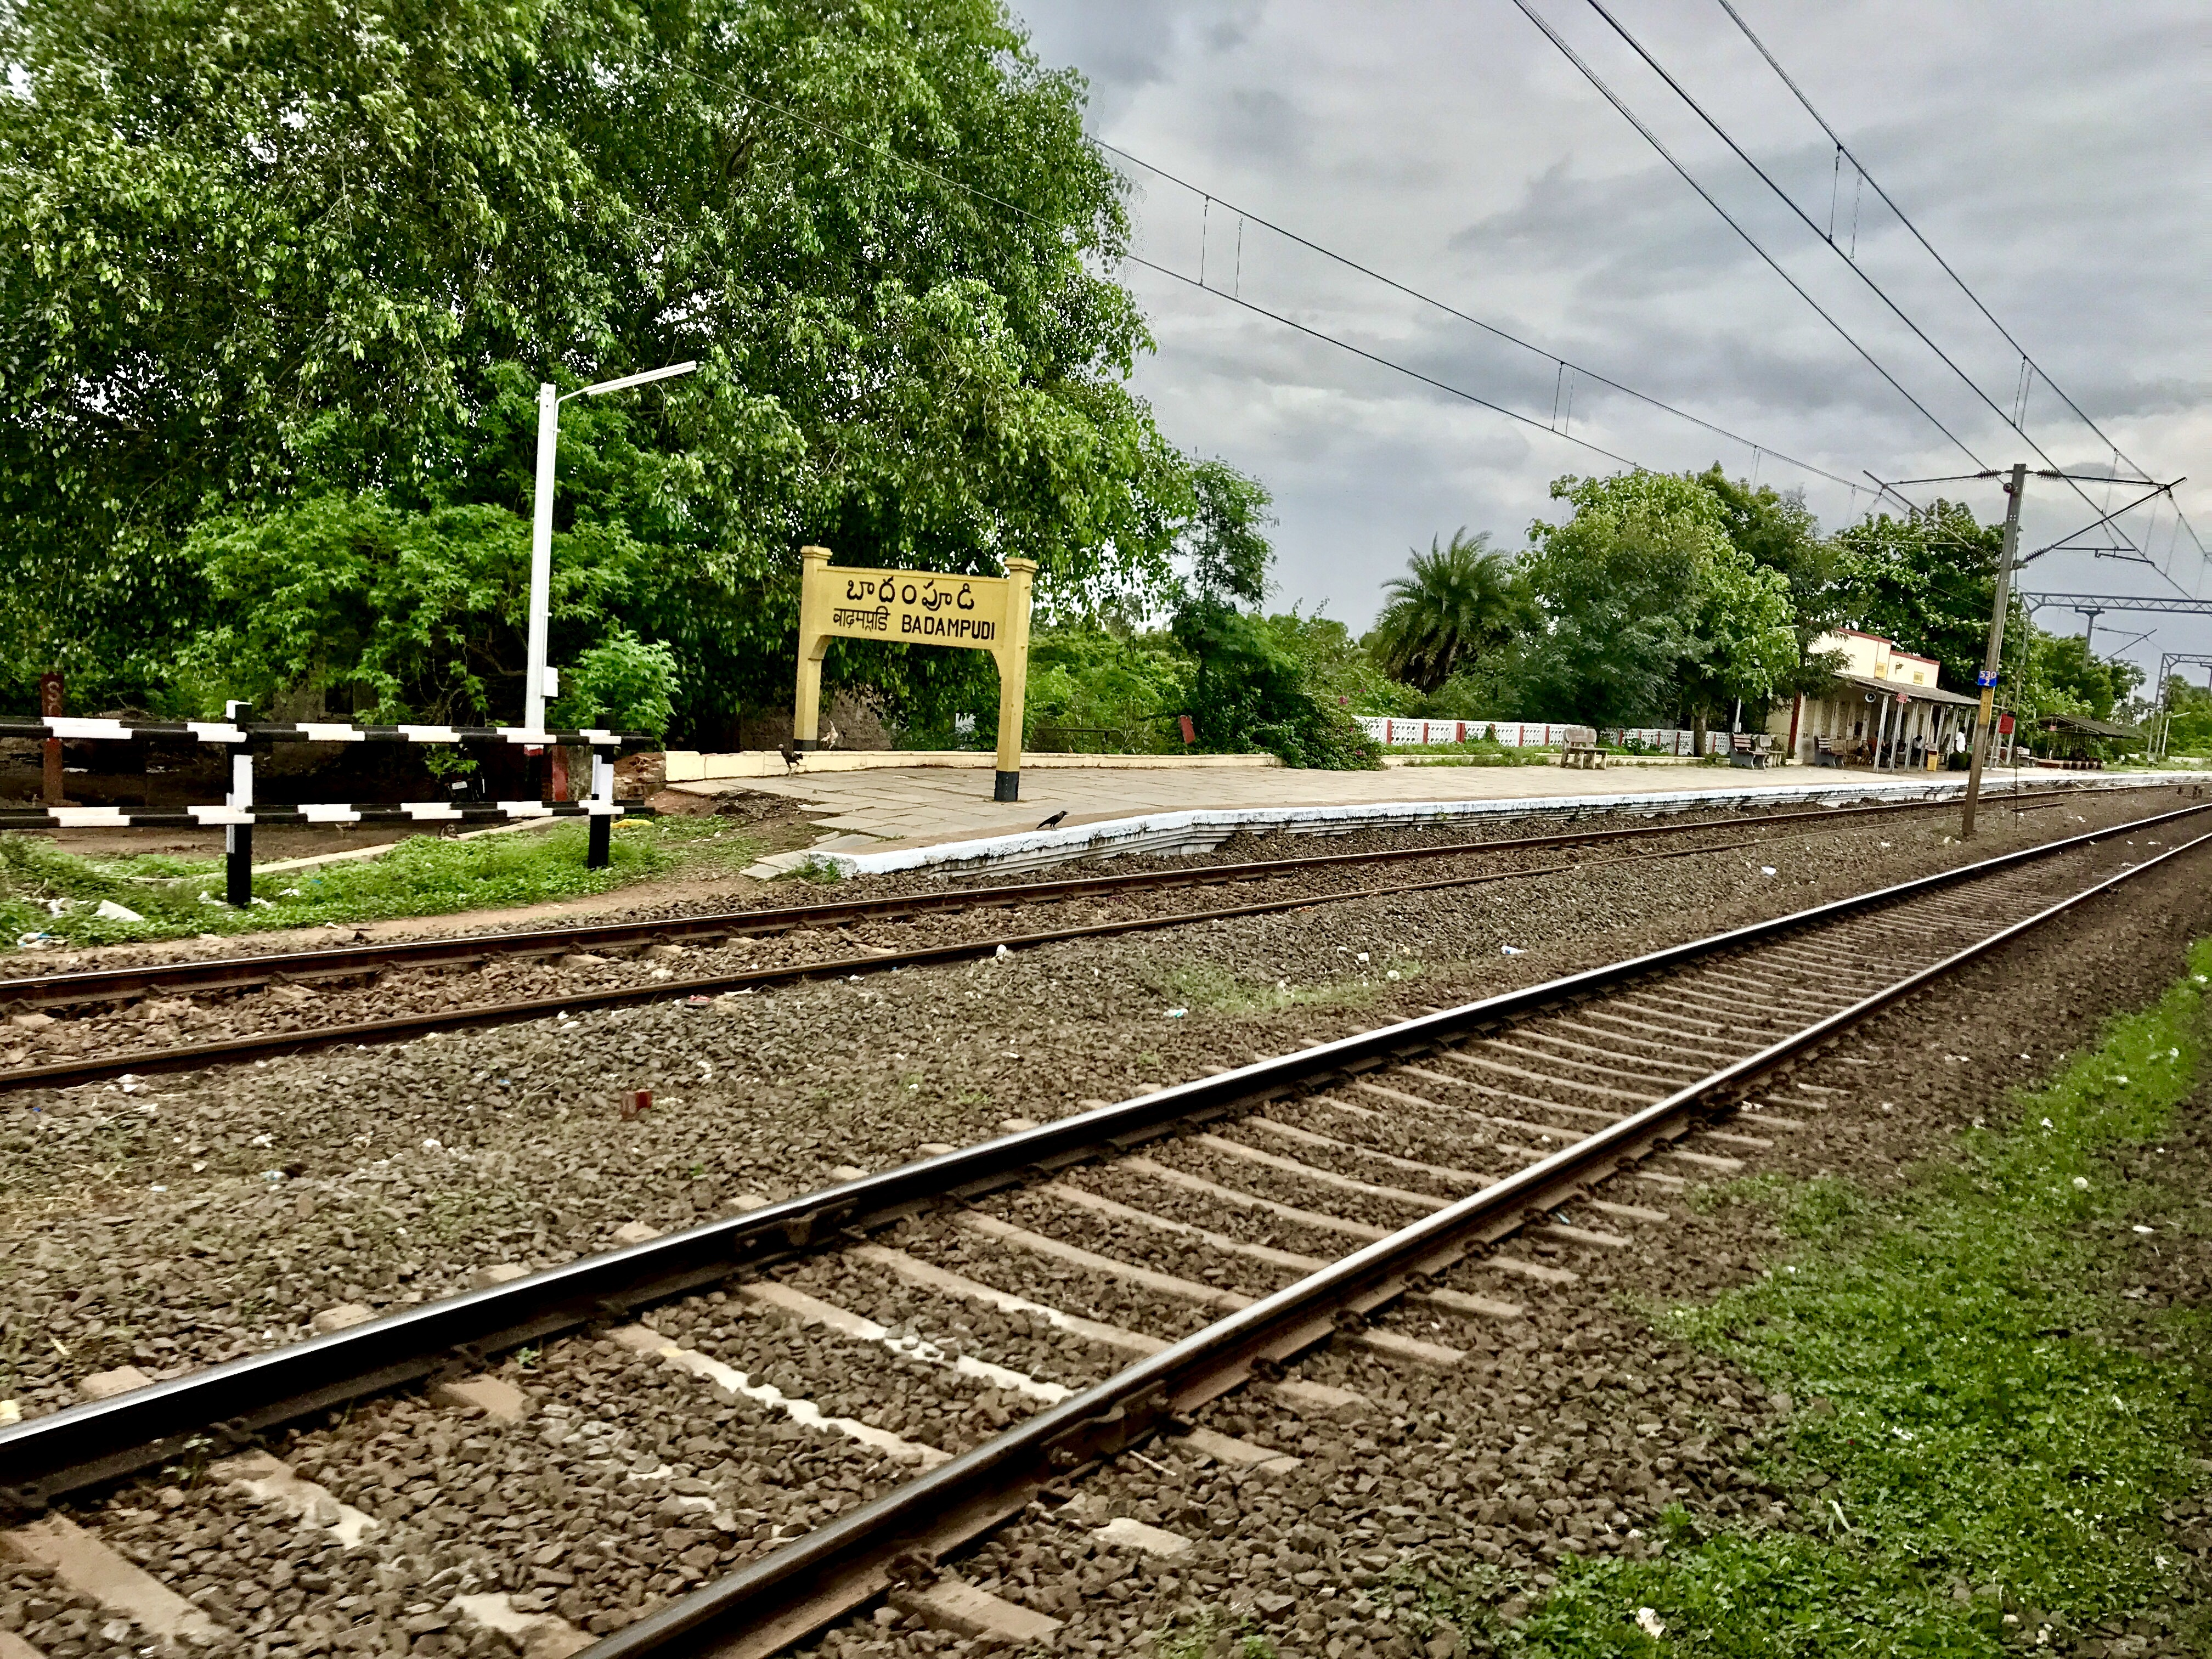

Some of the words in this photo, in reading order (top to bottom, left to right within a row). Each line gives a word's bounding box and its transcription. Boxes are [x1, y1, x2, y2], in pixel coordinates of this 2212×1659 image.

[843, 573, 978, 613] బాదంపూడి
[832, 603, 893, 635] बादमपूडि
[899, 611, 996, 642] BADAMPUDI